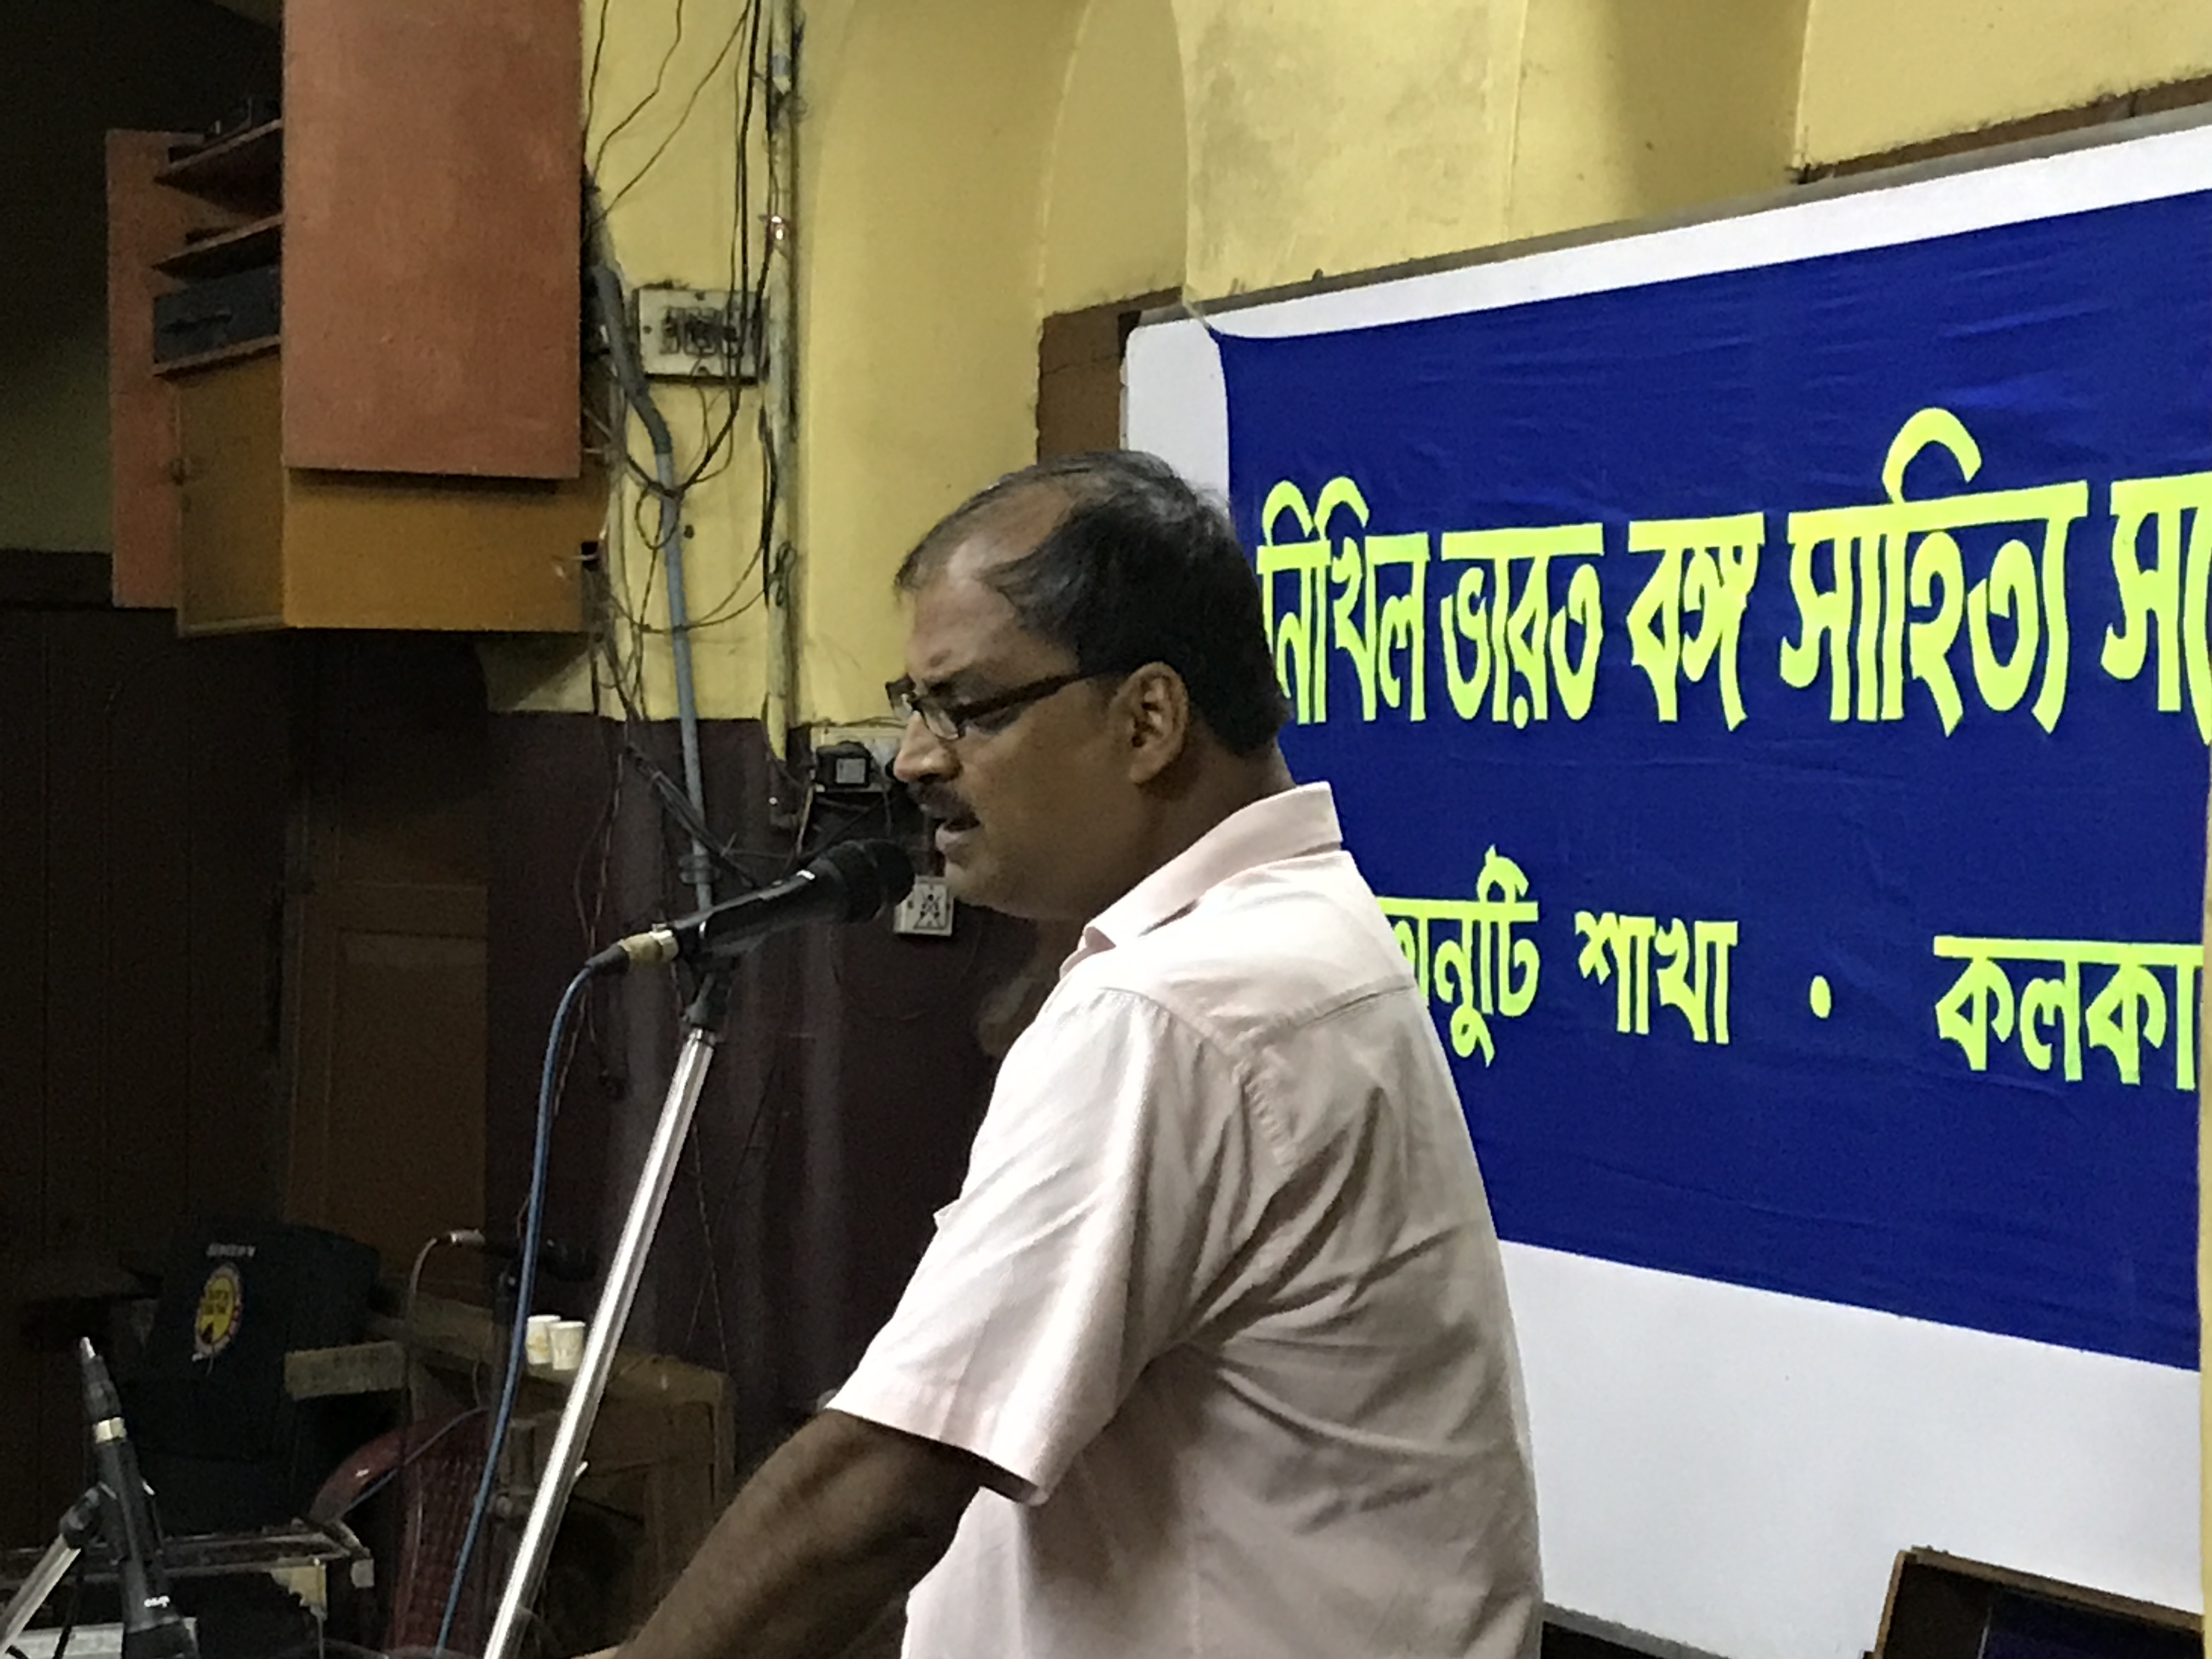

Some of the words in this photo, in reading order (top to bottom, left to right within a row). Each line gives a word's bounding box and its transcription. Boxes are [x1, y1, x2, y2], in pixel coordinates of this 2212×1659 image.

[1230, 449, 1622, 740] নিখিল ভারত
[1617, 504, 1780, 743] বঙ্গ
[1774, 394, 2102, 746] স৷হিত্য
[1390, 831, 1549, 1077] নুটি
[1561, 895, 1755, 1055] শাখা
[1923, 928, 2209, 1096] কলকা